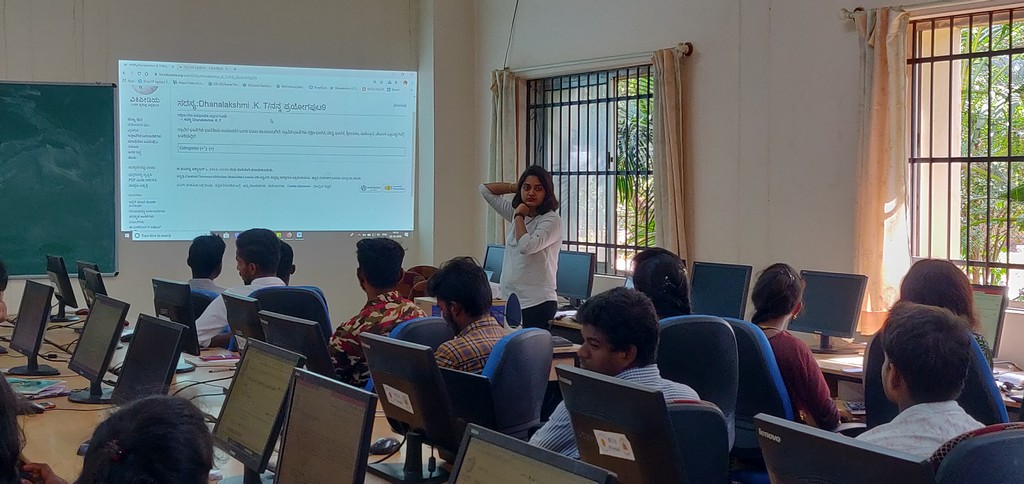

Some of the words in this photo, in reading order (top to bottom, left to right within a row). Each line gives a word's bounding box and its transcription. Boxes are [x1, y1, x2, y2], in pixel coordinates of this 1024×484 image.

[172, 91, 201, 115] ಸದಸ್ಯಃ
[195, 94, 253, 111] :Dhanalakshml.
[243, 96, 263, 113] l.K.